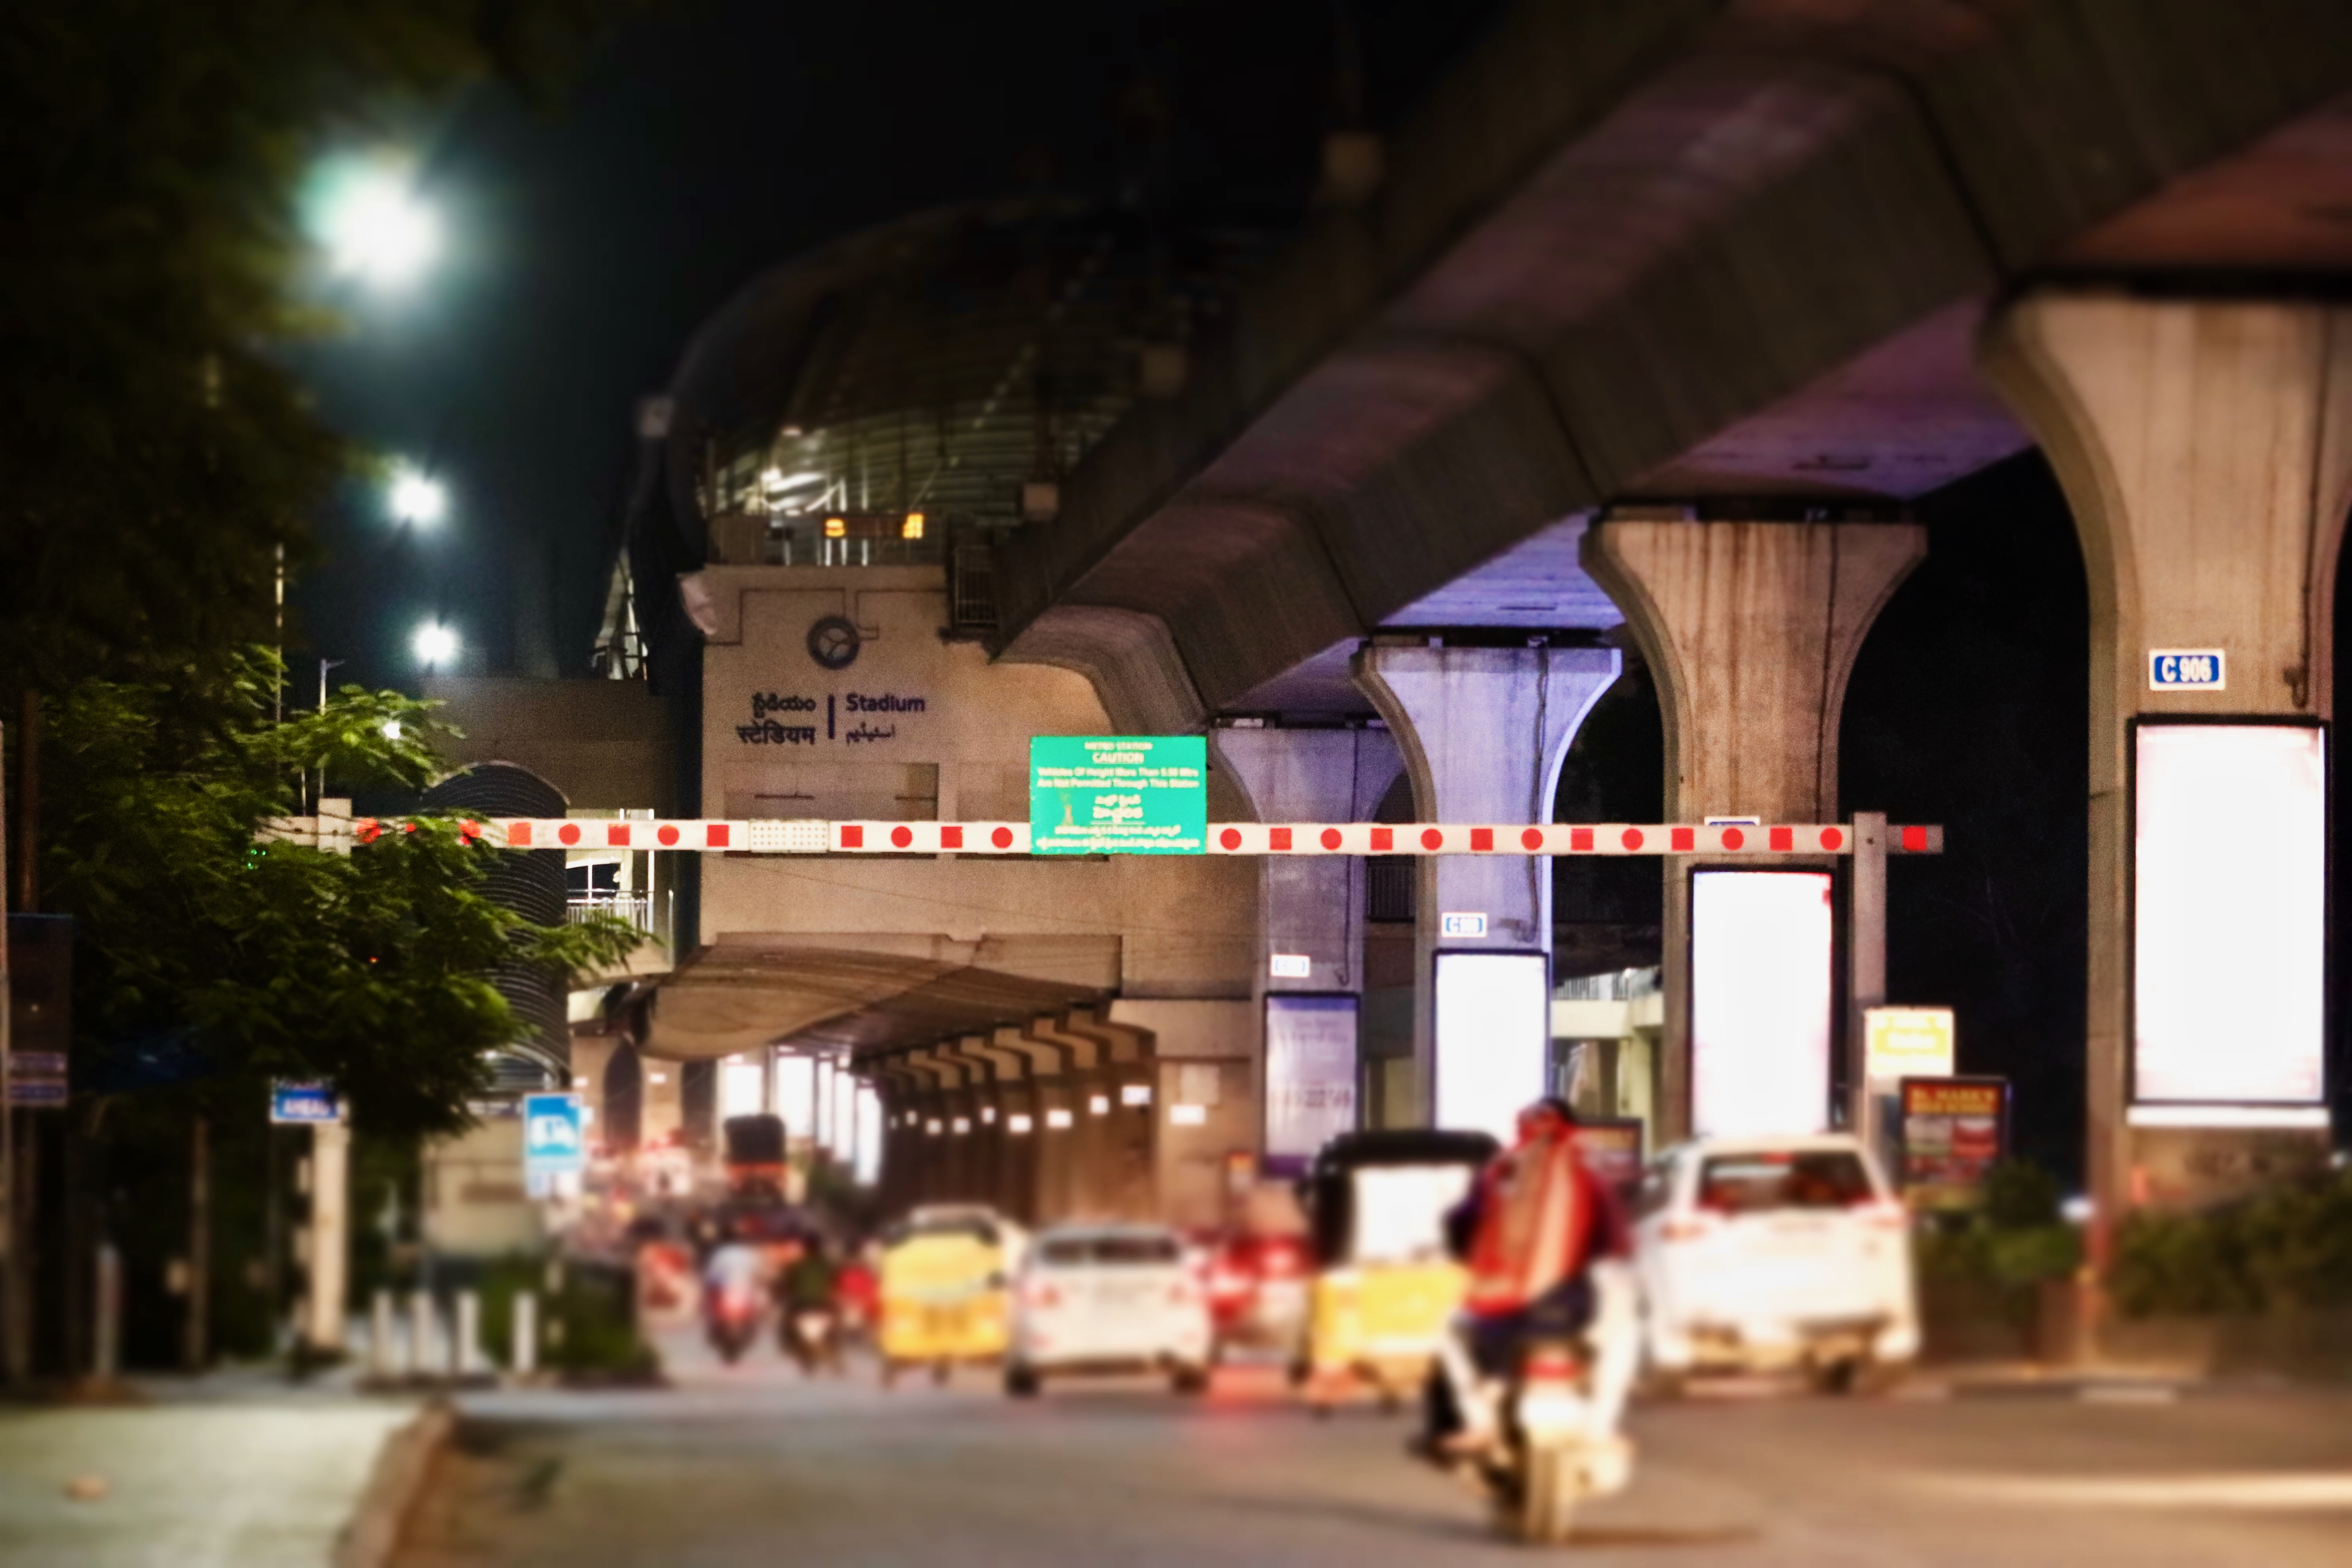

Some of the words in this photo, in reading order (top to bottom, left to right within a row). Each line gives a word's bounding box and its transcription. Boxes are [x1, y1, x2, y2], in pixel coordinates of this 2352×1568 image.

[2152, 652, 2213, 690] C906
[750, 690, 819, 720] స్టేడియం
[844, 690, 928, 713] Stadium
[734, 717, 817, 747] स्टेडियम
[1089, 751, 1147, 766] CAUTION